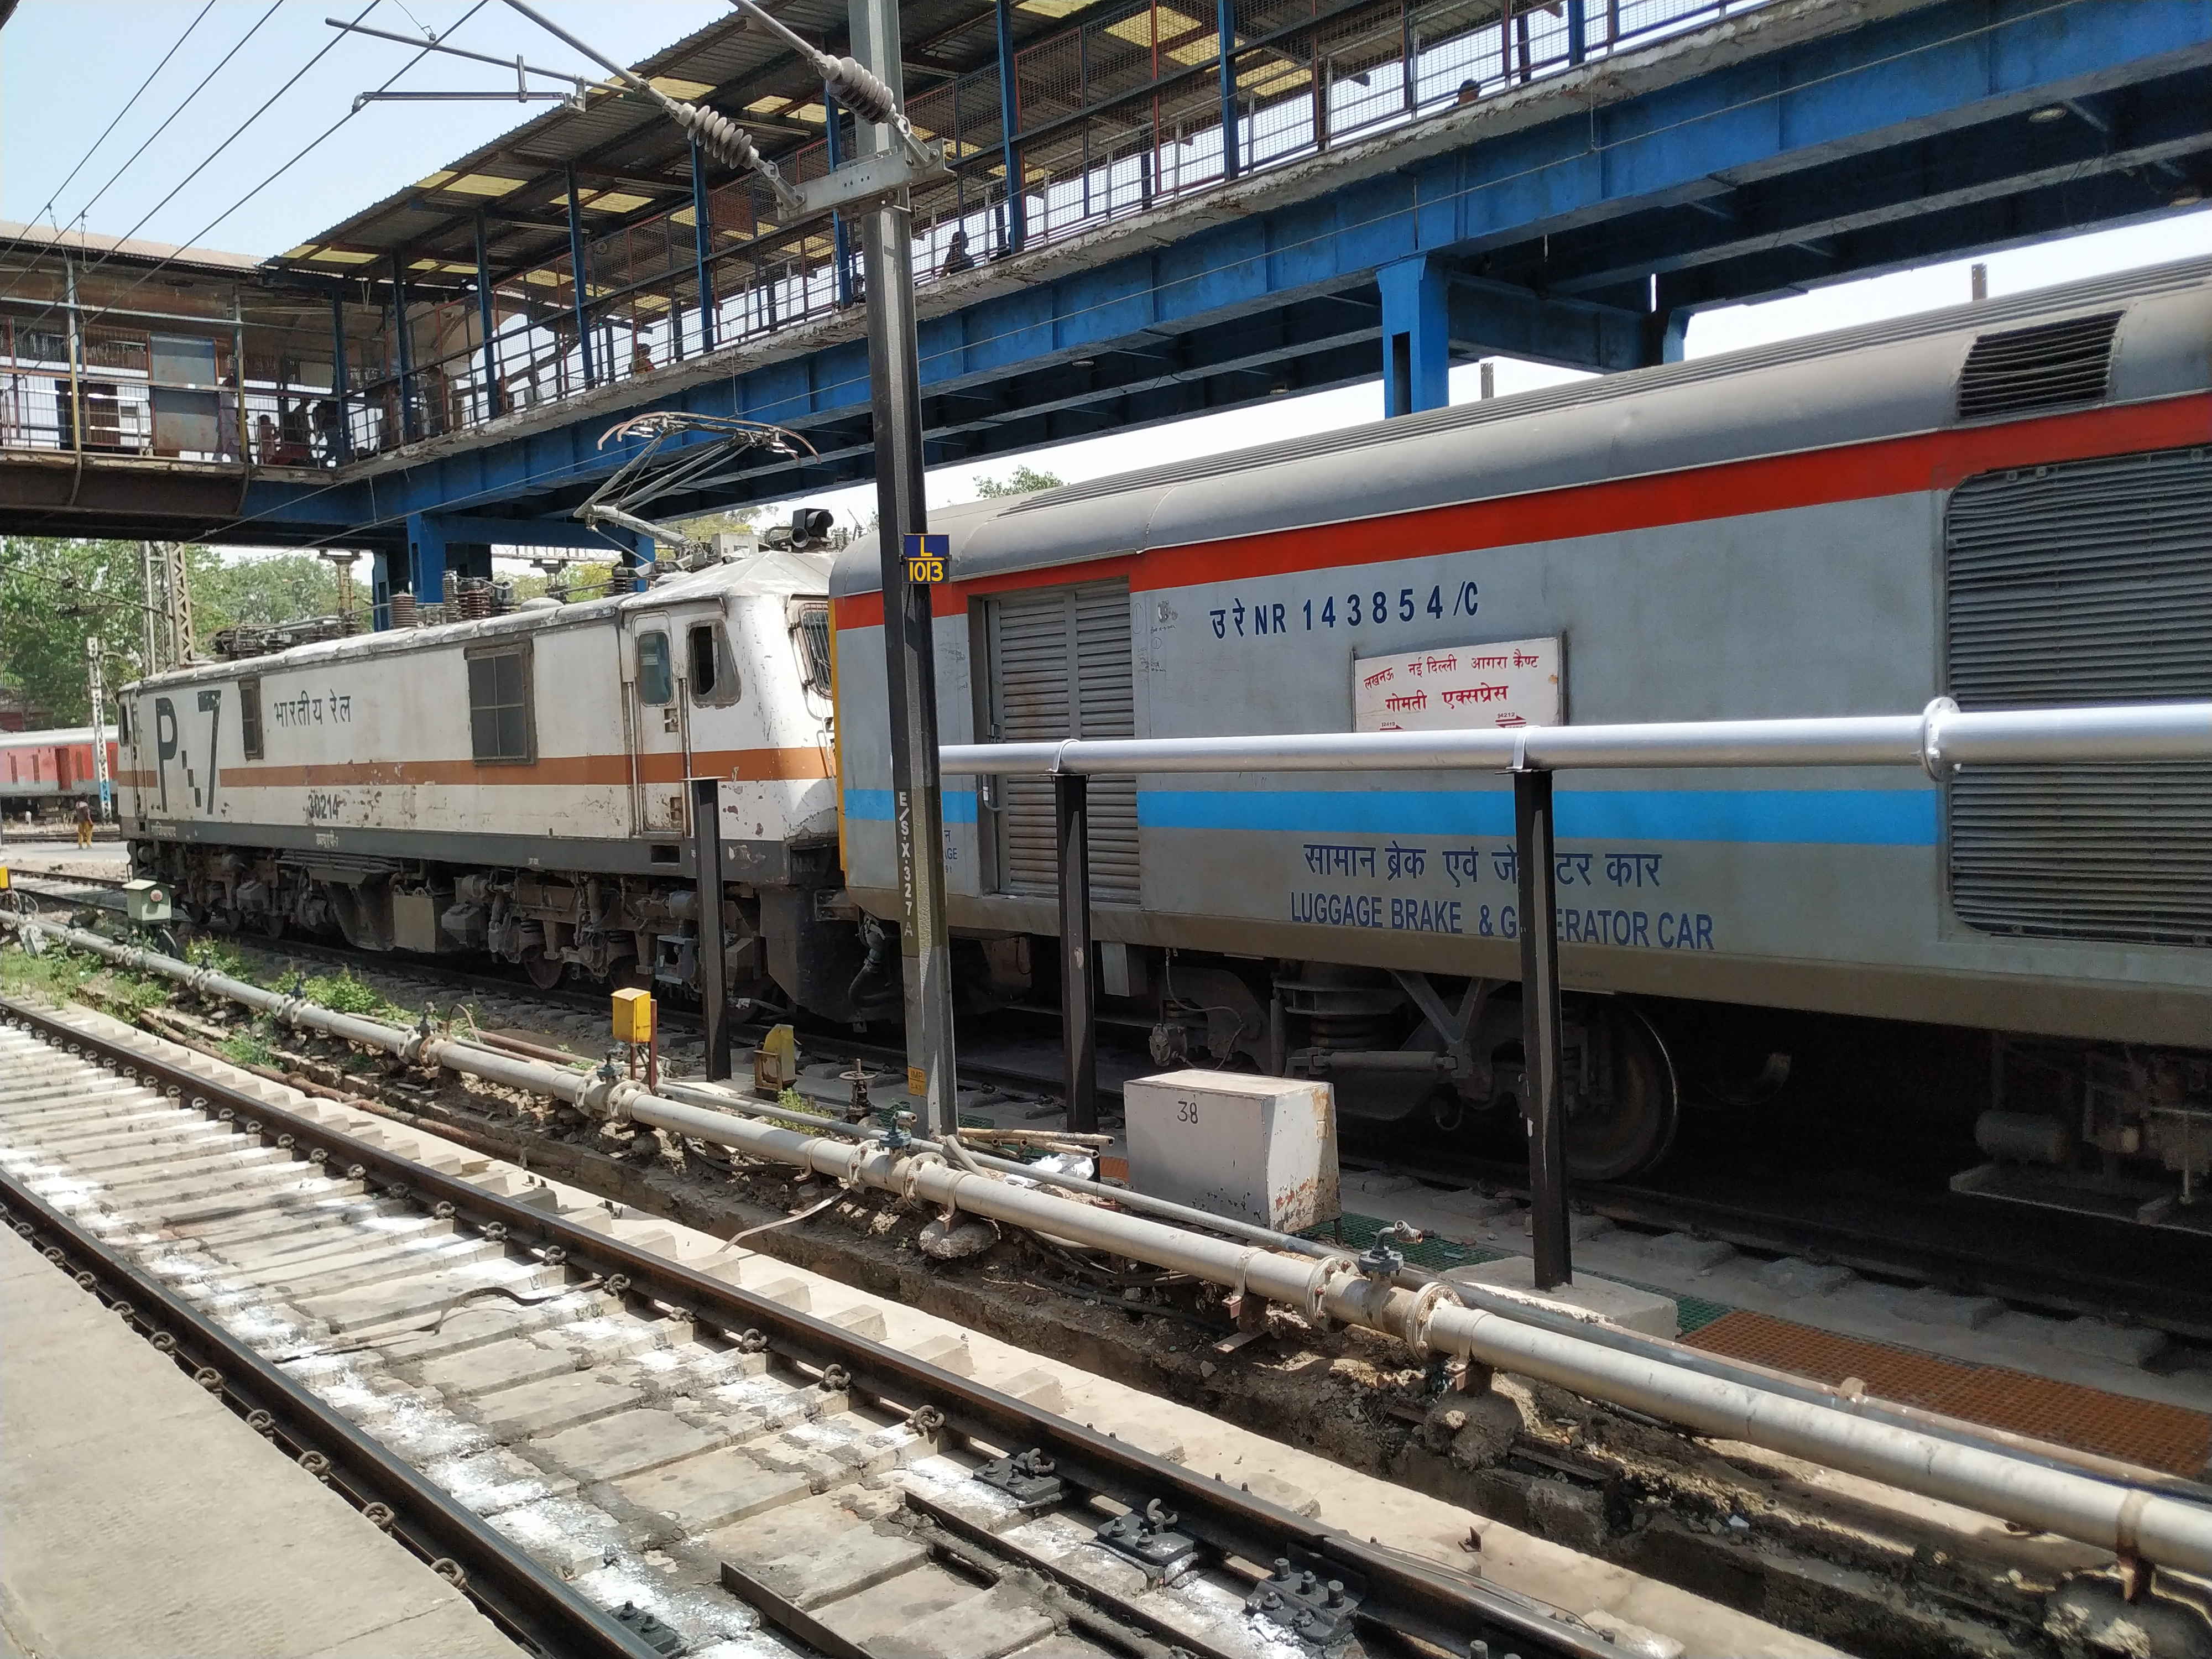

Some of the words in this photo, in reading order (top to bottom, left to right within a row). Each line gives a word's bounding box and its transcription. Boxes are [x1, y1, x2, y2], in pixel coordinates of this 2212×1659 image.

[1205, 592, 1250, 643] उरे
[1251, 598, 1290, 638] NR
[1301, 578, 1479, 635] 143854/C
[270, 684, 326, 731] भारतीय
[324, 686, 353, 725] रेल
[1361, 665, 1397, 693] लखनऊ
[1382, 687, 1430, 714] गोमती
[1406, 652, 1426, 679] नई
[1422, 650, 1459, 679] दिल्ली
[1441, 676, 1509, 713] एक्सप्रेस
[1469, 653, 1511, 671] आगरा
[1506, 644, 1541, 671] कैण्ट
[1301, 842, 1379, 880] सामान
[1381, 838, 1428, 882] ब्रेक
[1441, 842, 1480, 891] एवं
[1490, 843, 1522, 887] जे
[1603, 848, 1666, 888] का‍र
[1289, 888, 1386, 931] LUGGAGE
[1389, 896, 1465, 936] BRAKE
[1475, 902, 1497, 940] &
[1498, 900, 1652, 950] अन्यप्रभावन
[1653, 910, 1716, 953] CAR